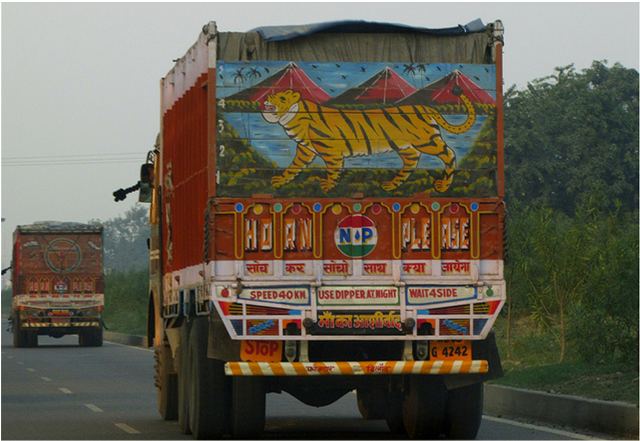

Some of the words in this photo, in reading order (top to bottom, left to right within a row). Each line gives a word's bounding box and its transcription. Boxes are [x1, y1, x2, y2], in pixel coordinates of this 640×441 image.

[240, 217, 315, 254] HORN
[243, 253, 272, 277] सोच
[280, 261, 309, 276] कर
[318, 255, 353, 277] सोचो
[360, 261, 388, 278] साथ
[396, 260, 430, 277] क्या
[438, 256, 475, 277] जायेना
[247, 289, 309, 308] SPEED40KM
[313, 285, 399, 303] USEDIPPERATHIGHT
[405, 286, 461, 302] WAIT4SIDE
[313, 306, 354, 332] माँका
[350, 306, 405, 332] आशीर्वाद